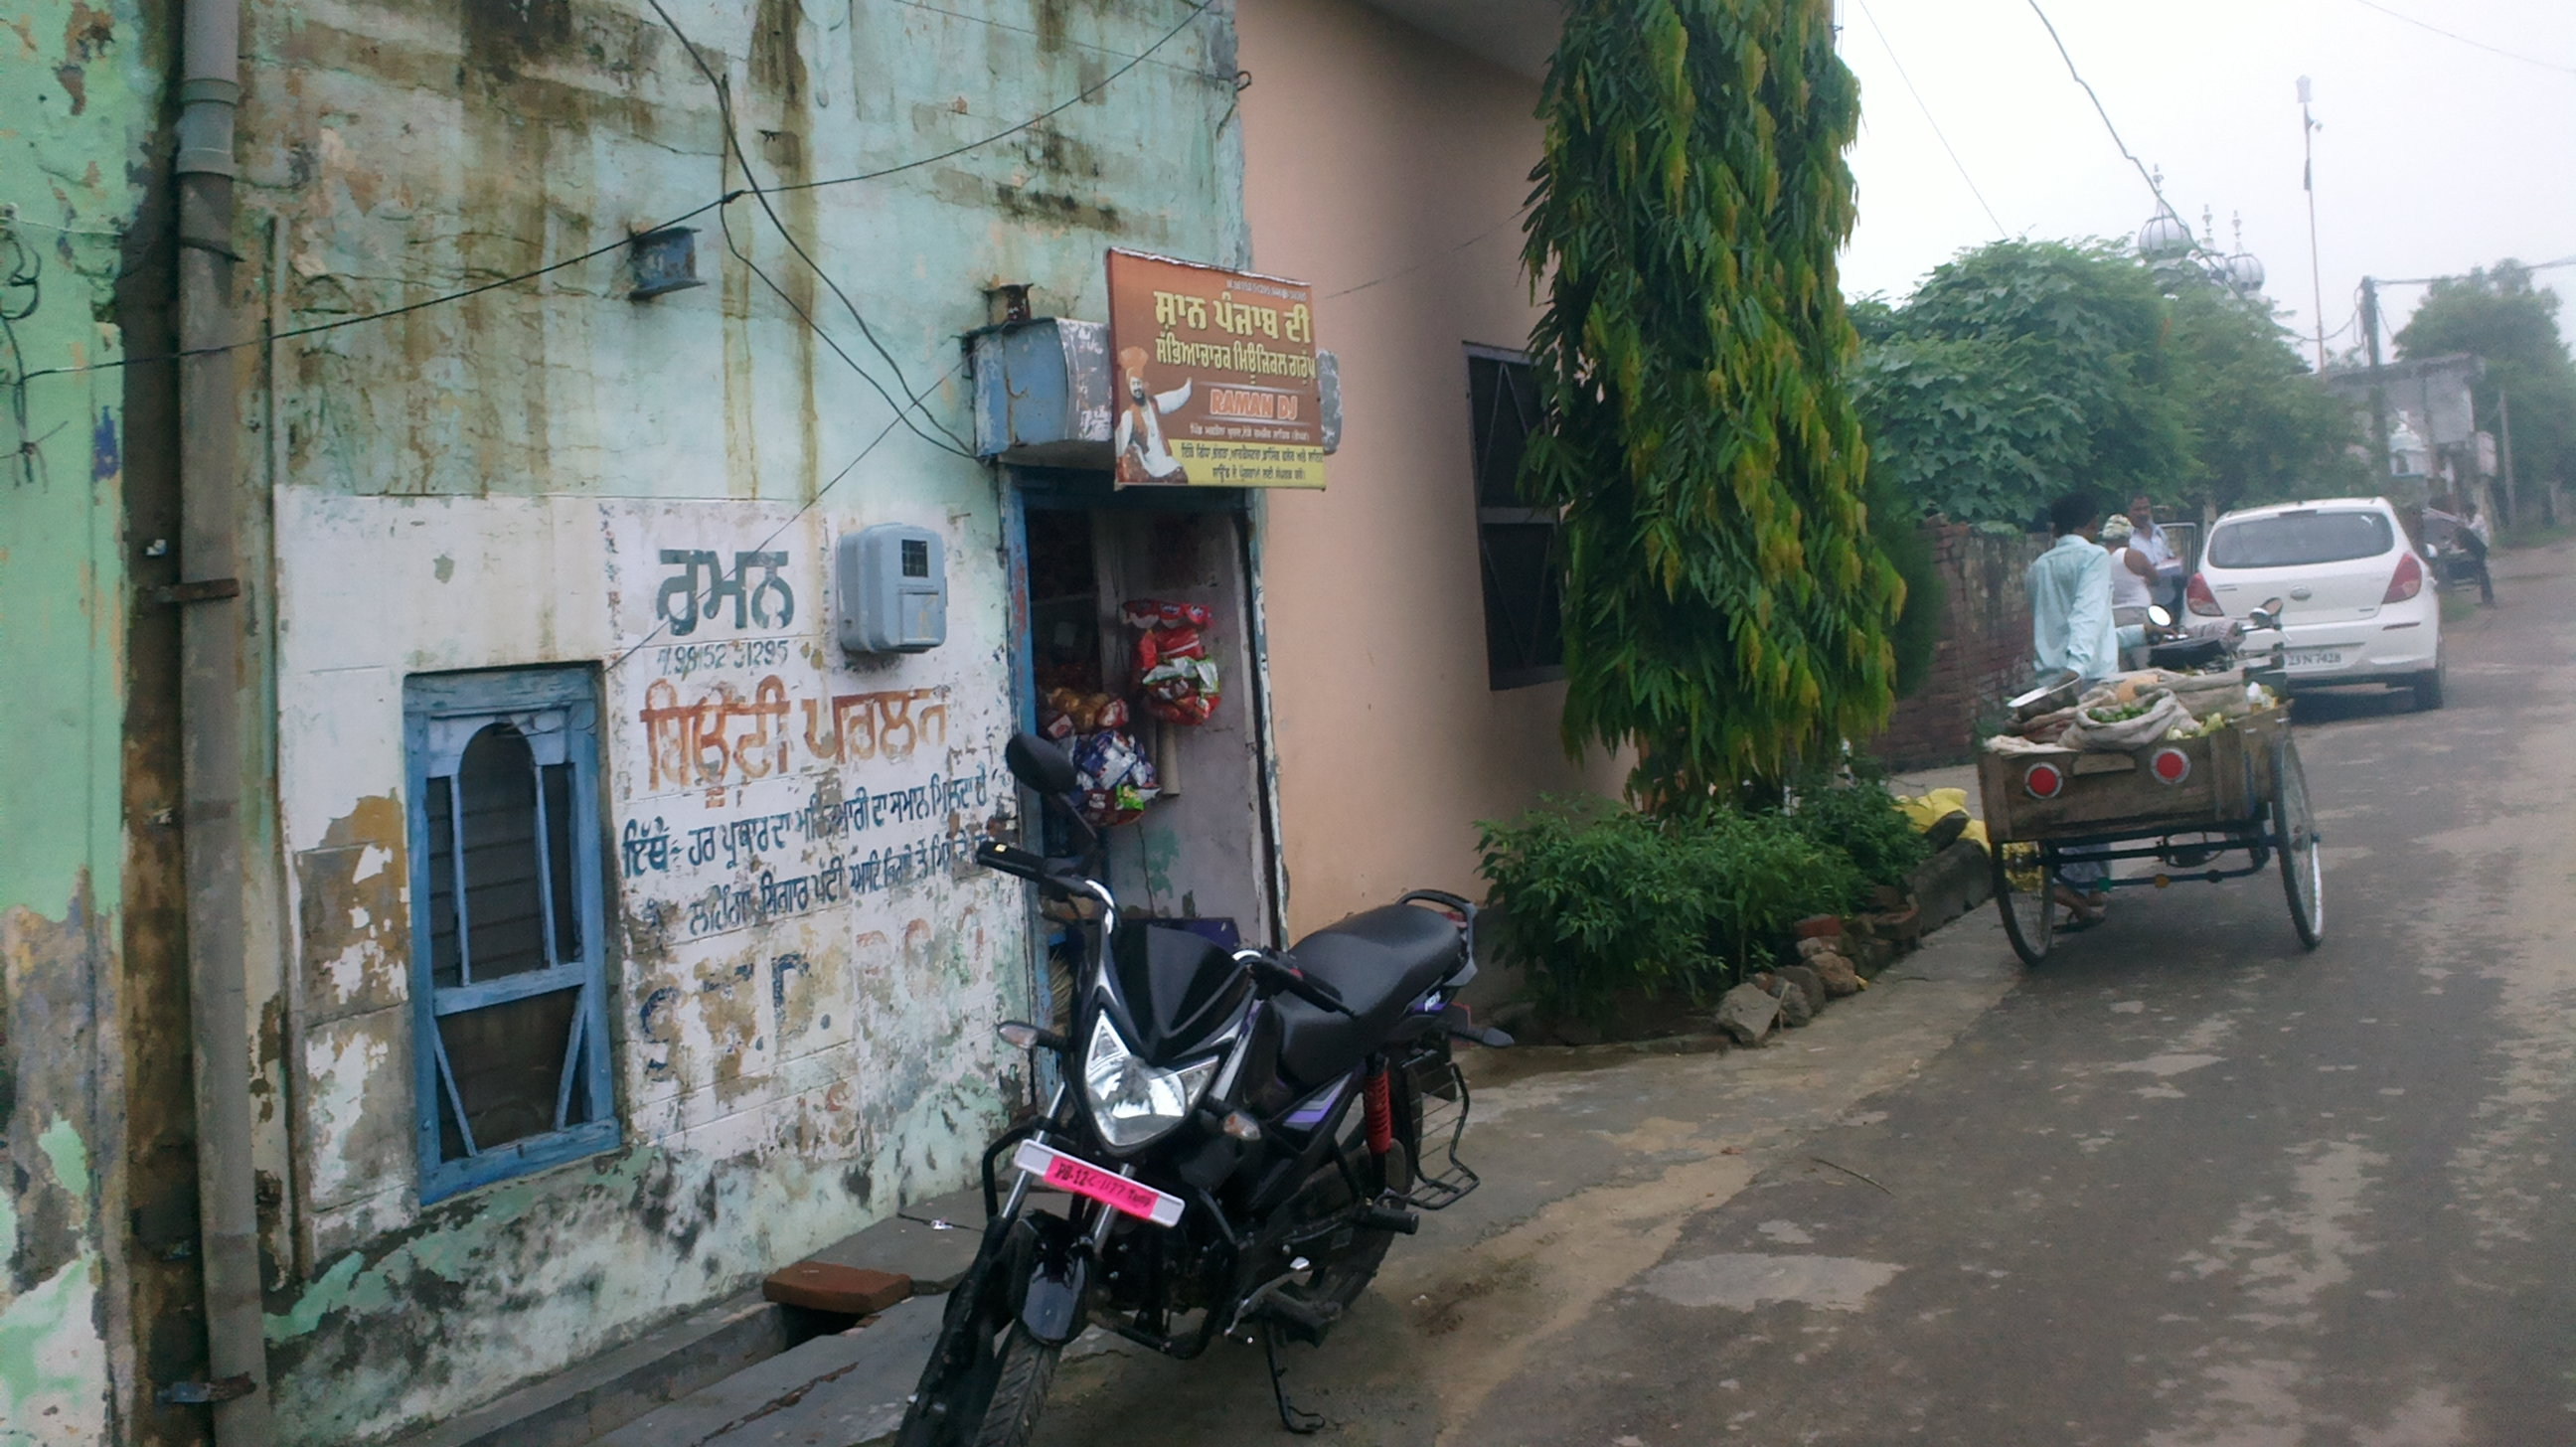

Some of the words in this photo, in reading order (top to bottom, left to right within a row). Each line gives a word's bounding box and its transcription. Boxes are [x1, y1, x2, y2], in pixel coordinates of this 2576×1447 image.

[1147, 284, 1213, 334] ਸਾਨ
[1209, 290, 1281, 341] ਪੰਜਾਬ
[1278, 299, 1314, 345] ਦੀ
[1153, 327, 1235, 374] ਸੱਭਿਆਚਾਰਕ
[1229, 341, 1317, 388] ਮਿਊਜਿਕਲਗਰੁੱਪ
[1204, 381, 1275, 422] RAMAN
[1273, 388, 1303, 423] DJ
[644, 537, 807, 640] ਰਮਨ
[630, 670, 803, 813] ਬਿਊਟੀ
[795, 668, 970, 783] ਪਰਲਰ
[616, 808, 674, 887] ਇੱਥੇ
[681, 822, 720, 871] ਹਰ
[769, 807, 797, 851] ਦਾ
[869, 786, 890, 831] ਦਾ
[887, 780, 932, 824] ਸਮਾਨ